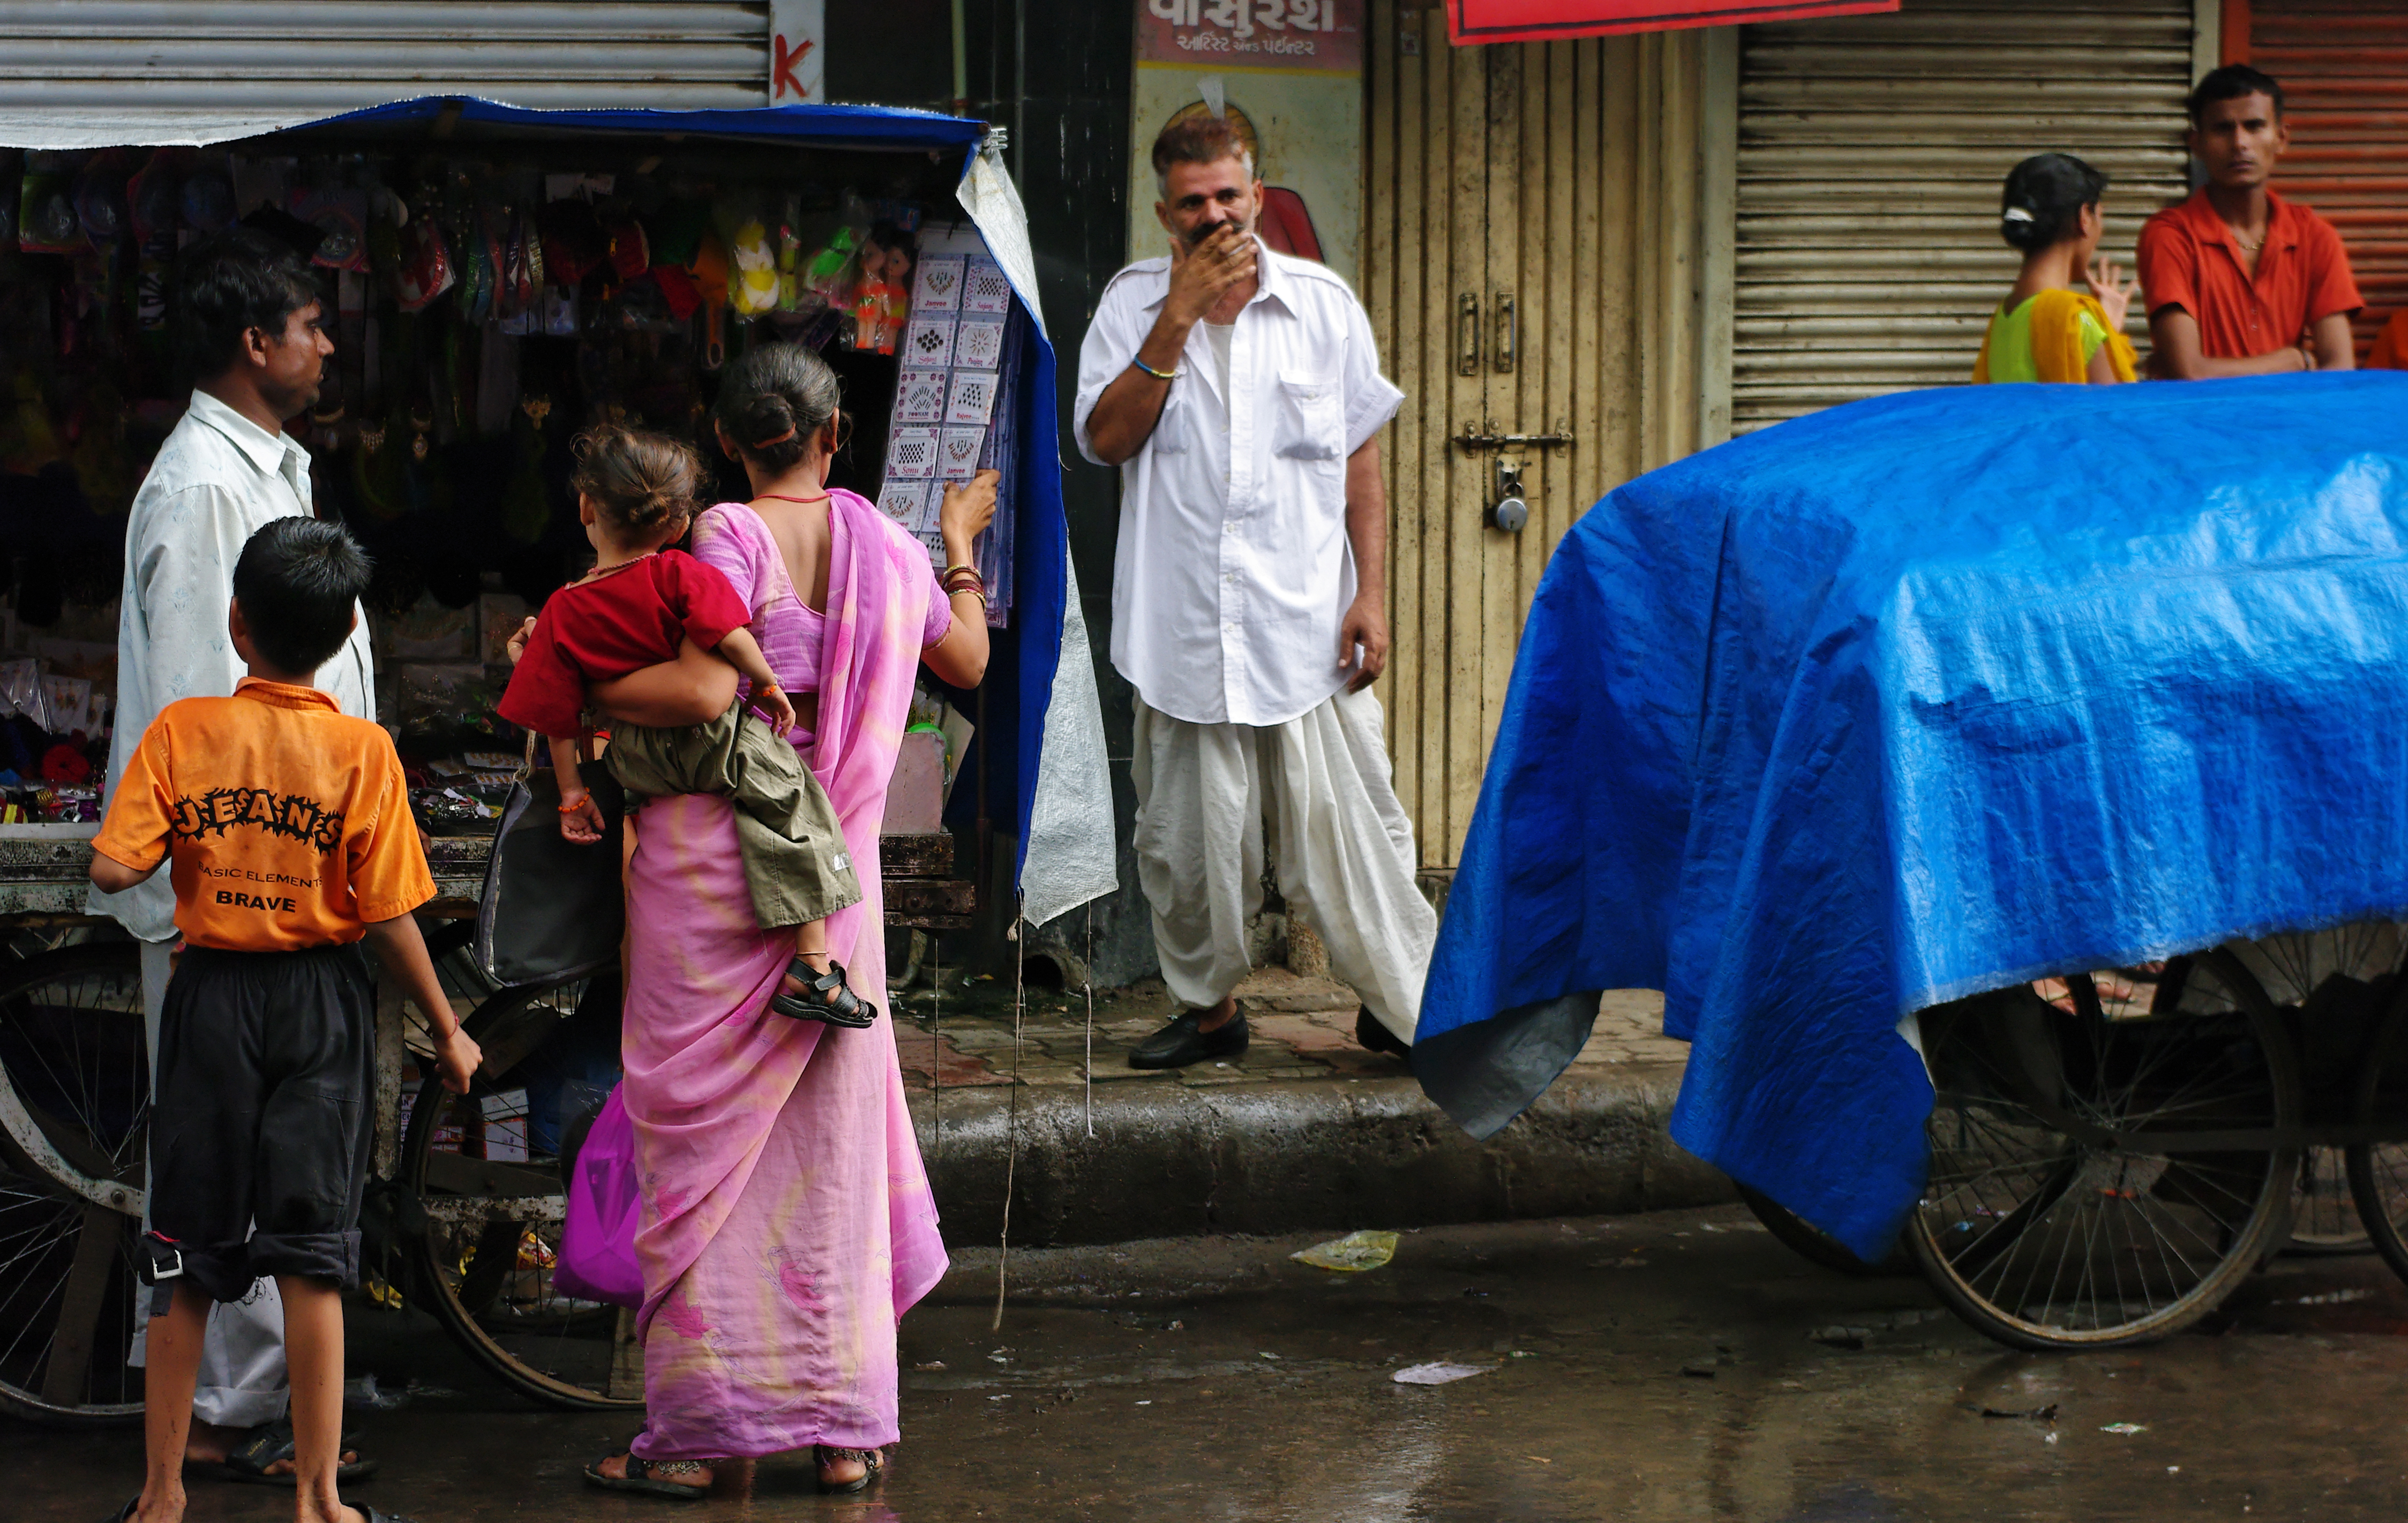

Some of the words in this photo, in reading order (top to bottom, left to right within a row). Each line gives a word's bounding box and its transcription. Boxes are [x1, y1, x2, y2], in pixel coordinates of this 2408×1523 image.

[1174, 27, 1232, 56] આર્ટિસ્ટ
[1229, 38, 1261, 55] ઍન્ડ
[1259, 31, 1319, 59] પેઇન્ટ૨
[769, 27, 816, 106] K
[173, 791, 347, 850] JEANS
[195, 859, 244, 882] BASIC
[242, 867, 325, 890] ELEMENTS
[212, 886, 299, 919] BRAVE